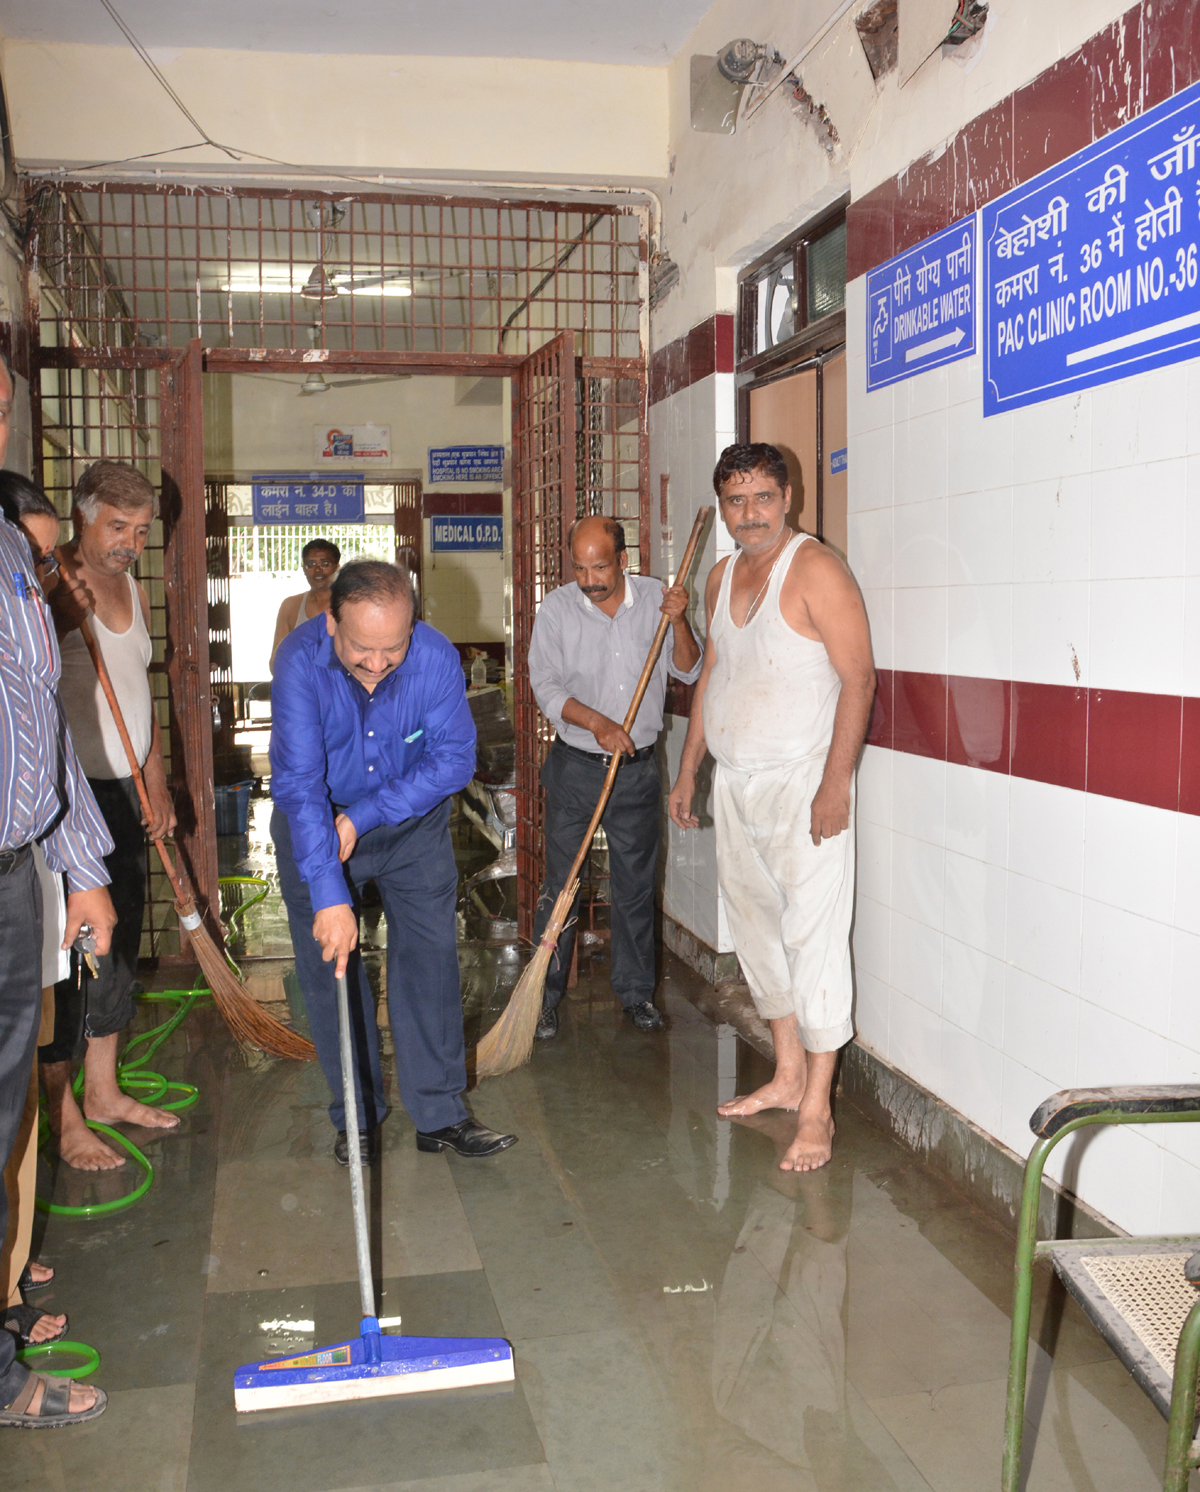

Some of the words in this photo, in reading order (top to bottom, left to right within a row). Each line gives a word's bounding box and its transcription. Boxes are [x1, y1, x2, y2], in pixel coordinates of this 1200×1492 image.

[1137, 116, 1200, 184] जाँ
[1081, 162, 1130, 214] क‍ी
[889, 257, 914, 309] पीने
[887, 294, 941, 347] DRINKABLE
[911, 248, 945, 299] योग्य
[936, 277, 975, 327] WATER
[941, 226, 975, 284] पानी
[989, 308, 1027, 359] PAC
[990, 261, 1043, 312] कमरा
[988, 189, 1071, 265] बेहोशी
[1025, 289, 1078, 349] CLINIC
[1043, 233, 1073, 285] नं.
[1073, 230, 1107, 277] 36
[1075, 265, 1134, 333] ROOM
[1103, 205, 1133, 264] में
[1129, 179, 1187, 257] होती
[1133, 238, 1198, 311] NO.-36
[258, 482, 293, 501] कमरा
[257, 496, 294, 520] लाईन
[289, 479, 311, 501] न.
[290, 499, 321, 519] बाहर
[308, 481, 340, 504] 34-D
[318, 492, 343, 521] है।
[339, 481, 360, 500] का
[429, 522, 477, 546] MEDICAL
[473, 522, 504, 547] O.P.D.